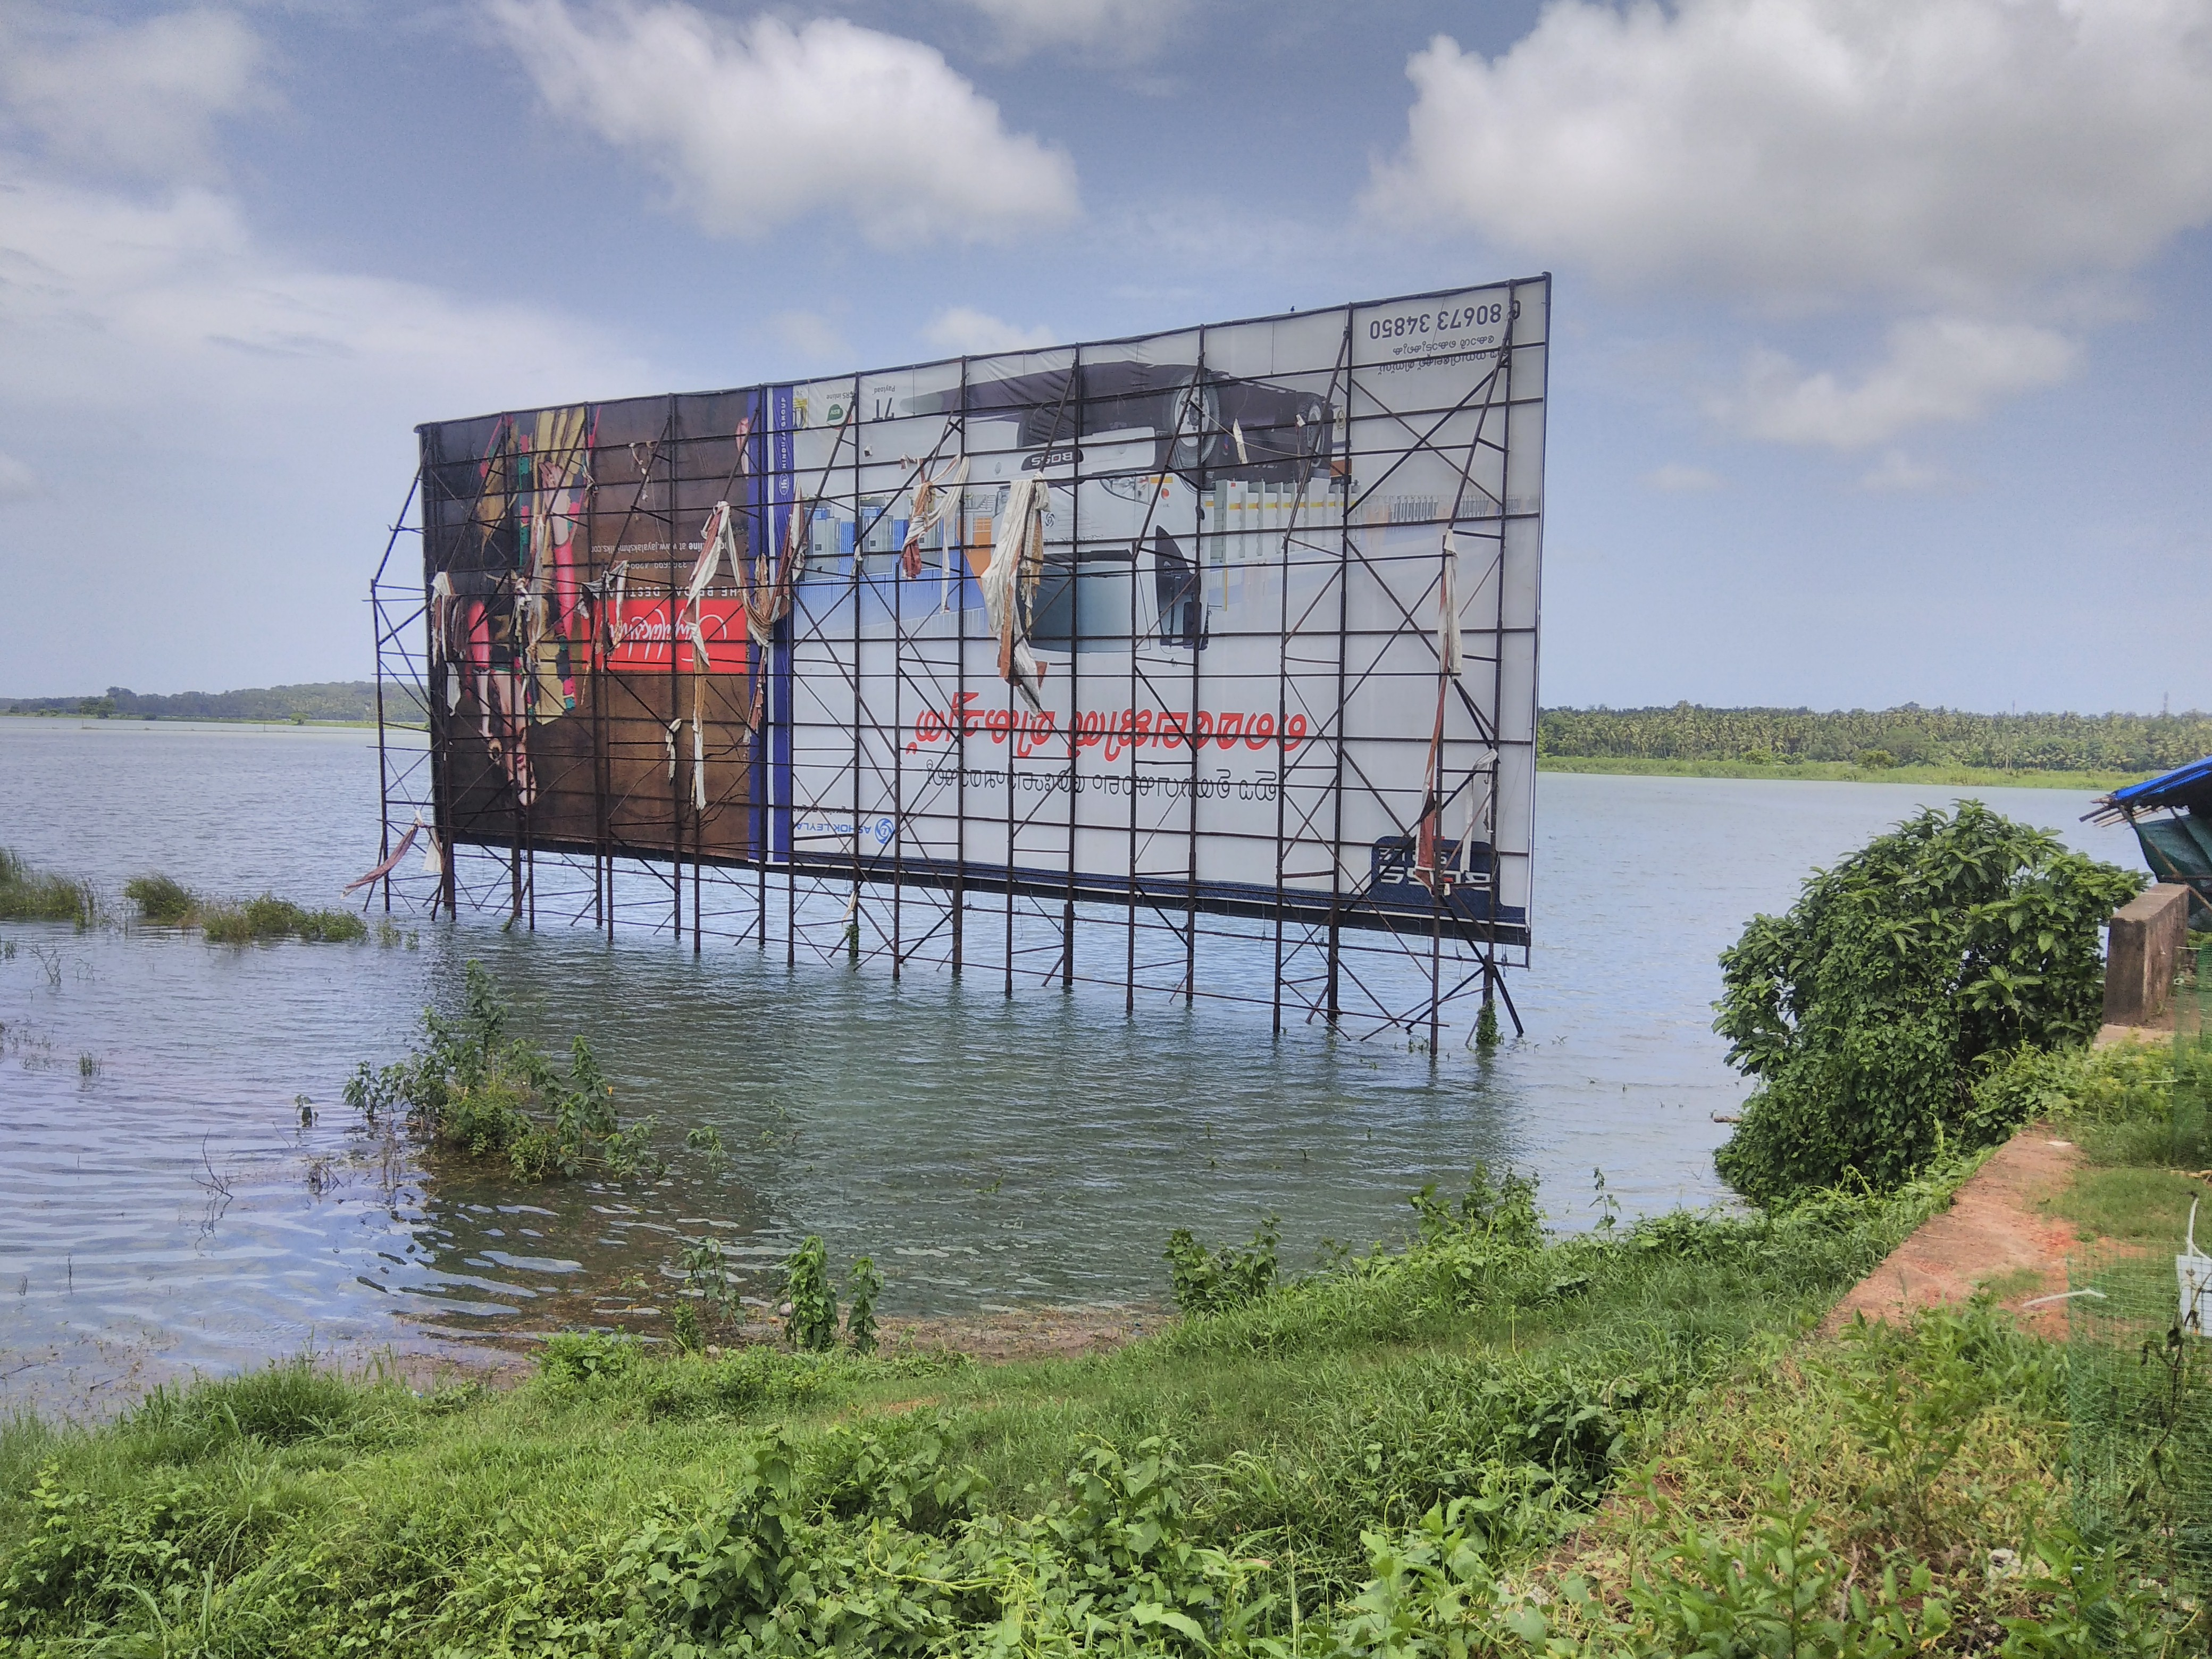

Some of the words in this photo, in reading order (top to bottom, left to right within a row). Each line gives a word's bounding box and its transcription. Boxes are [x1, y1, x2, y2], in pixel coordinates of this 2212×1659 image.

[1371, 357, 1418, 379] മിസ്‌ഡ്
[1388, 337, 1458, 358] കൊടുക്കുക
[1414, 350, 1489, 371] നമ്പറിലേക്ക്
[1458, 331, 1497, 351] കോൾ
[1484, 346, 1512, 364] ഈ
[901, 688, 1058, 761] മികച്ചത്
[1063, 706, 1309, 764] മൈലേജിൽ
[917, 756, 1009, 794] ഷമാക്കൂ
[1003, 766, 1088, 793] ആഘോ
[1091, 763, 1233, 799] ഉത്സവകാലം
[1236, 765, 1279, 803] ഈ
[790, 819, 875, 836] ASHOK LEYLA